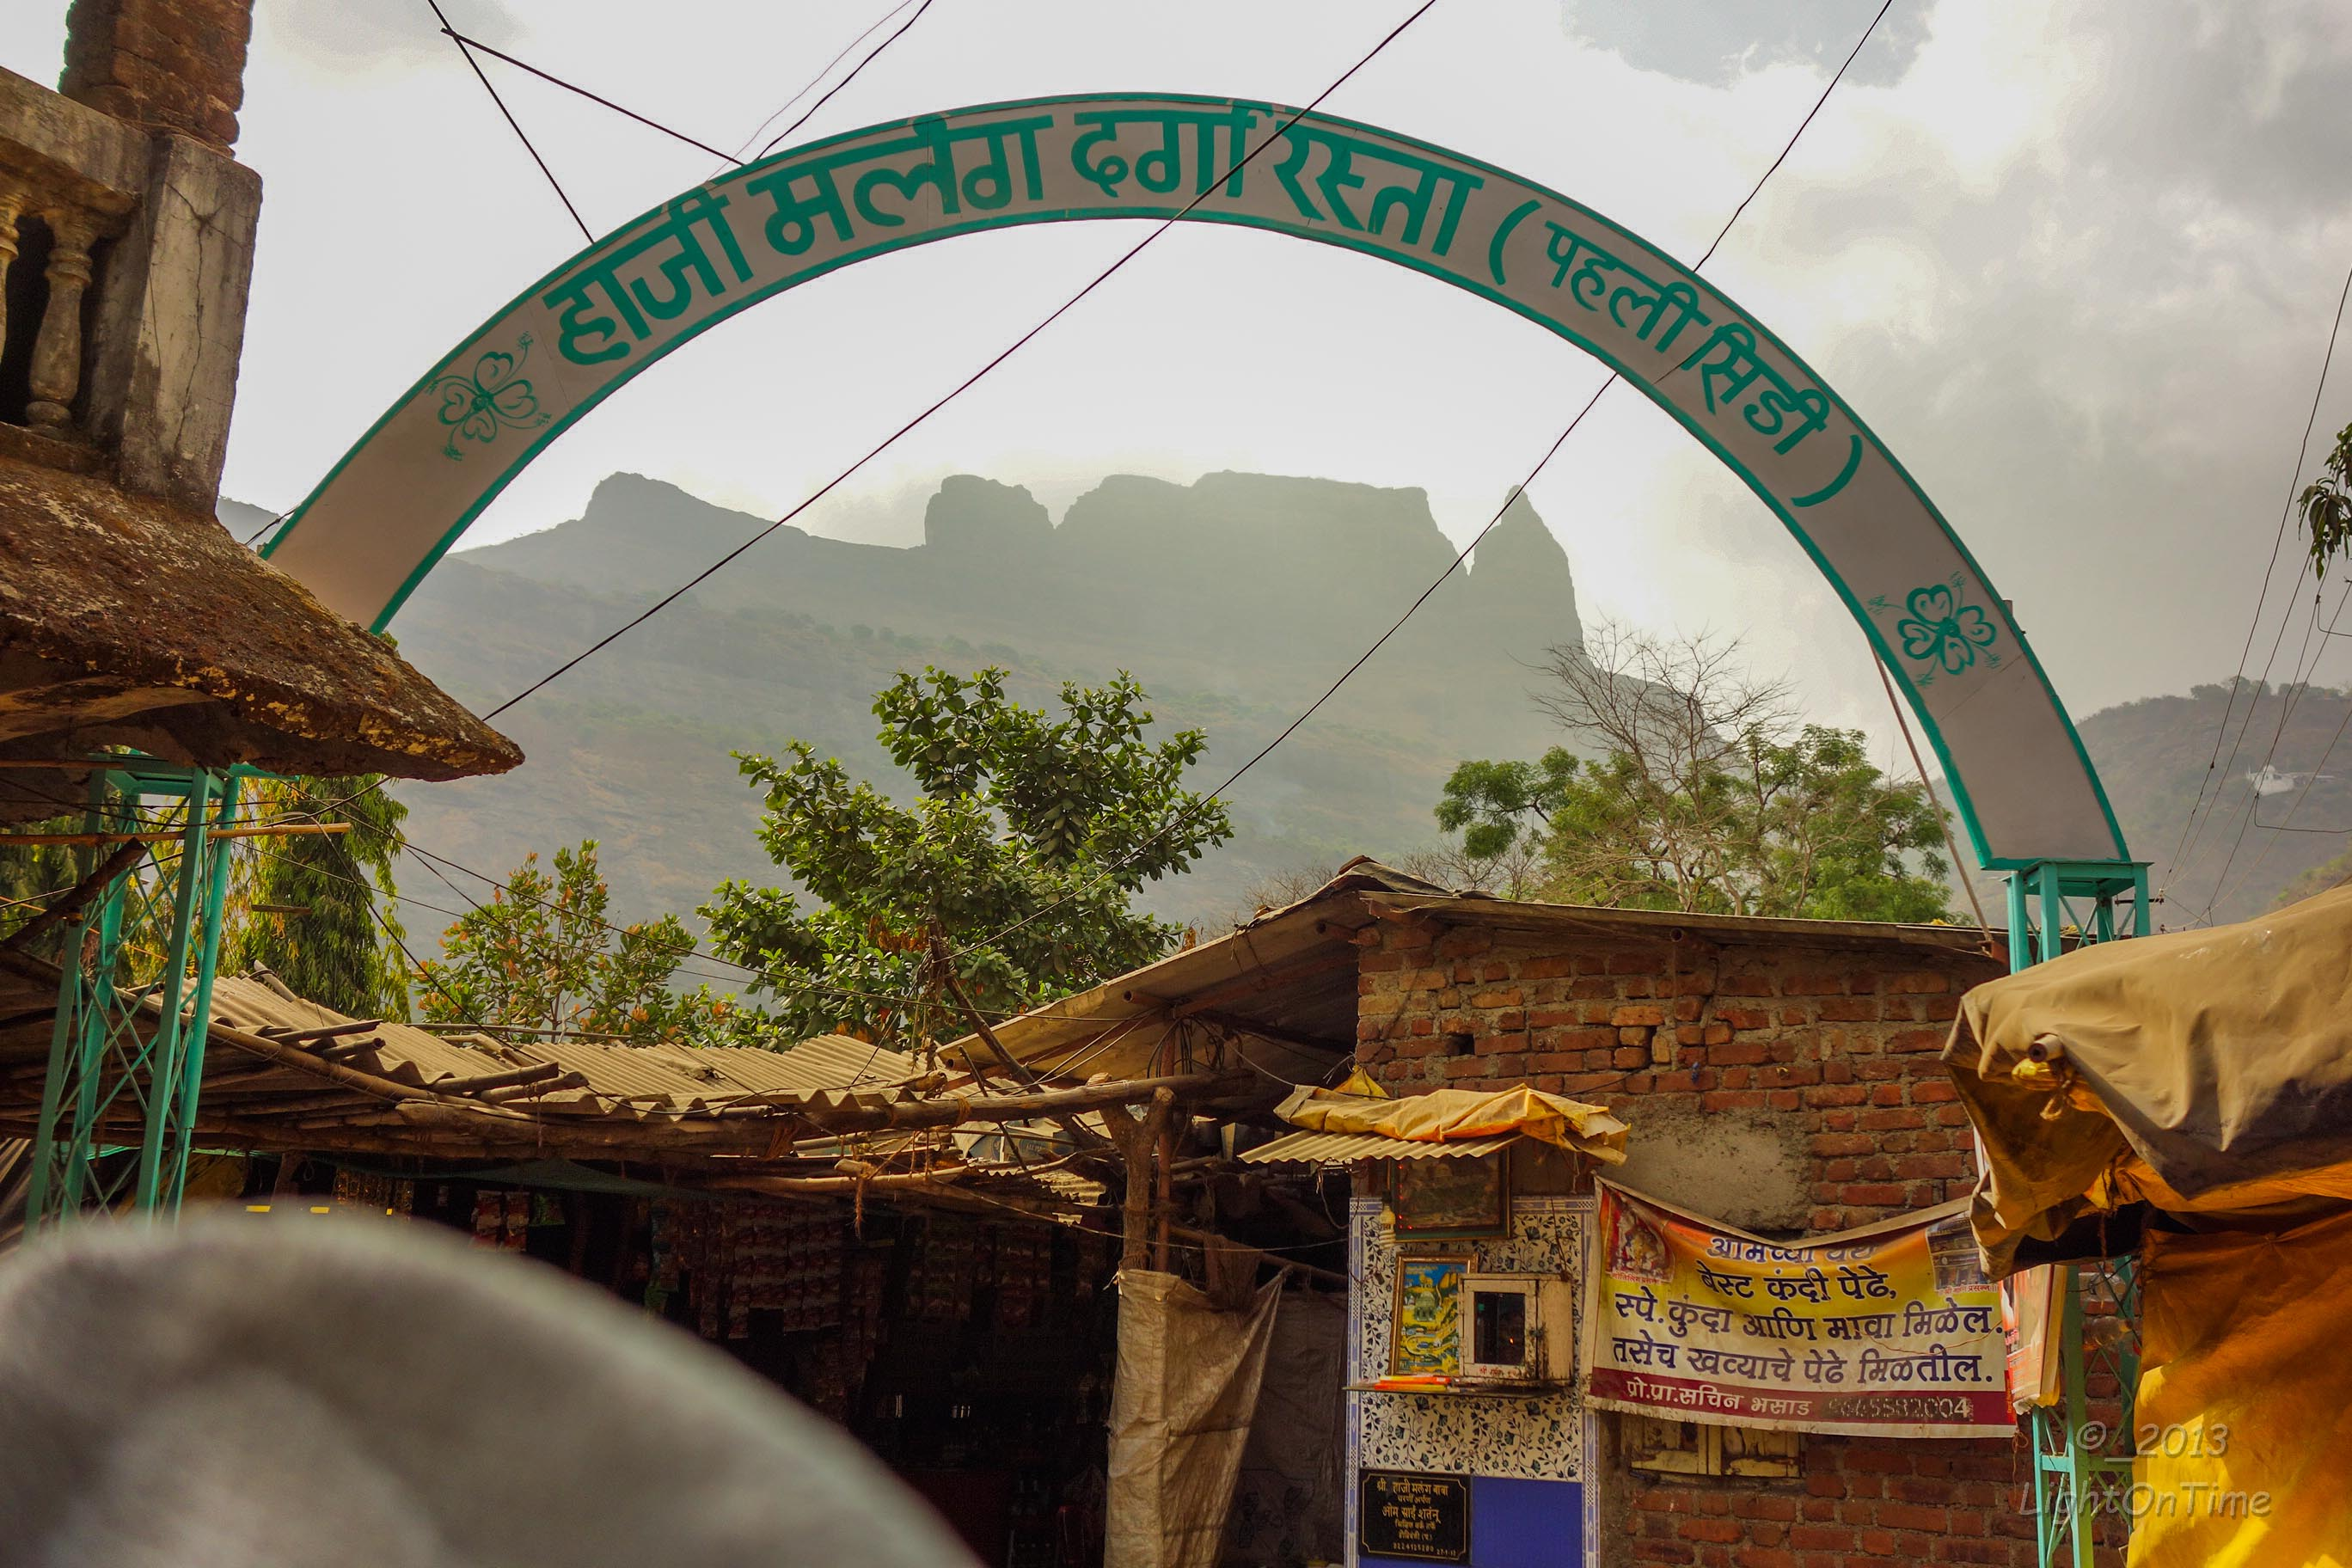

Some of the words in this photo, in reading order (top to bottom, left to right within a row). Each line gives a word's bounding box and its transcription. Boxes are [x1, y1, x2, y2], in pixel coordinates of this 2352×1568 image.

[1062, 97, 1283, 215] दर्गा
[733, 101, 1064, 282] मलंग
[1259, 114, 1495, 266] रस्ता
[528, 179, 768, 395] हाजीं
[1473, 184, 1722, 377] (पहली
[1669, 312, 1875, 523] सिडी )
[1607, 1283, 1669, 1333] स्पे.
[1605, 1322, 1684, 1375] तसेच
[1616, 1370, 1677, 1409] प्रो.प्रा.
[1663, 1288, 1740, 1341] कुंदा
[1677, 1381, 1749, 1416] सचिन
[1688, 1253, 1761, 1302] बेस्ट
[1681, 1342, 1803, 1390] खव्याचे
[1738, 1303, 1826, 1344] आणि
[1747, 1391, 1818, 1420] भसाड
[1758, 1265, 1834, 1311] कंदी
[1799, 1344, 1851, 1390] पेढे
[1820, 1308, 1897, 1347] मावा
[1832, 1260, 1903, 1308] पेढे,
[1851, 1340, 1999, 1392] मिळतील.
[1896, 1292, 2004, 1344] मिळेल.
[2098, 1414, 2233, 1467] _2013
[2011, 1474, 2280, 1529] LightOnTime